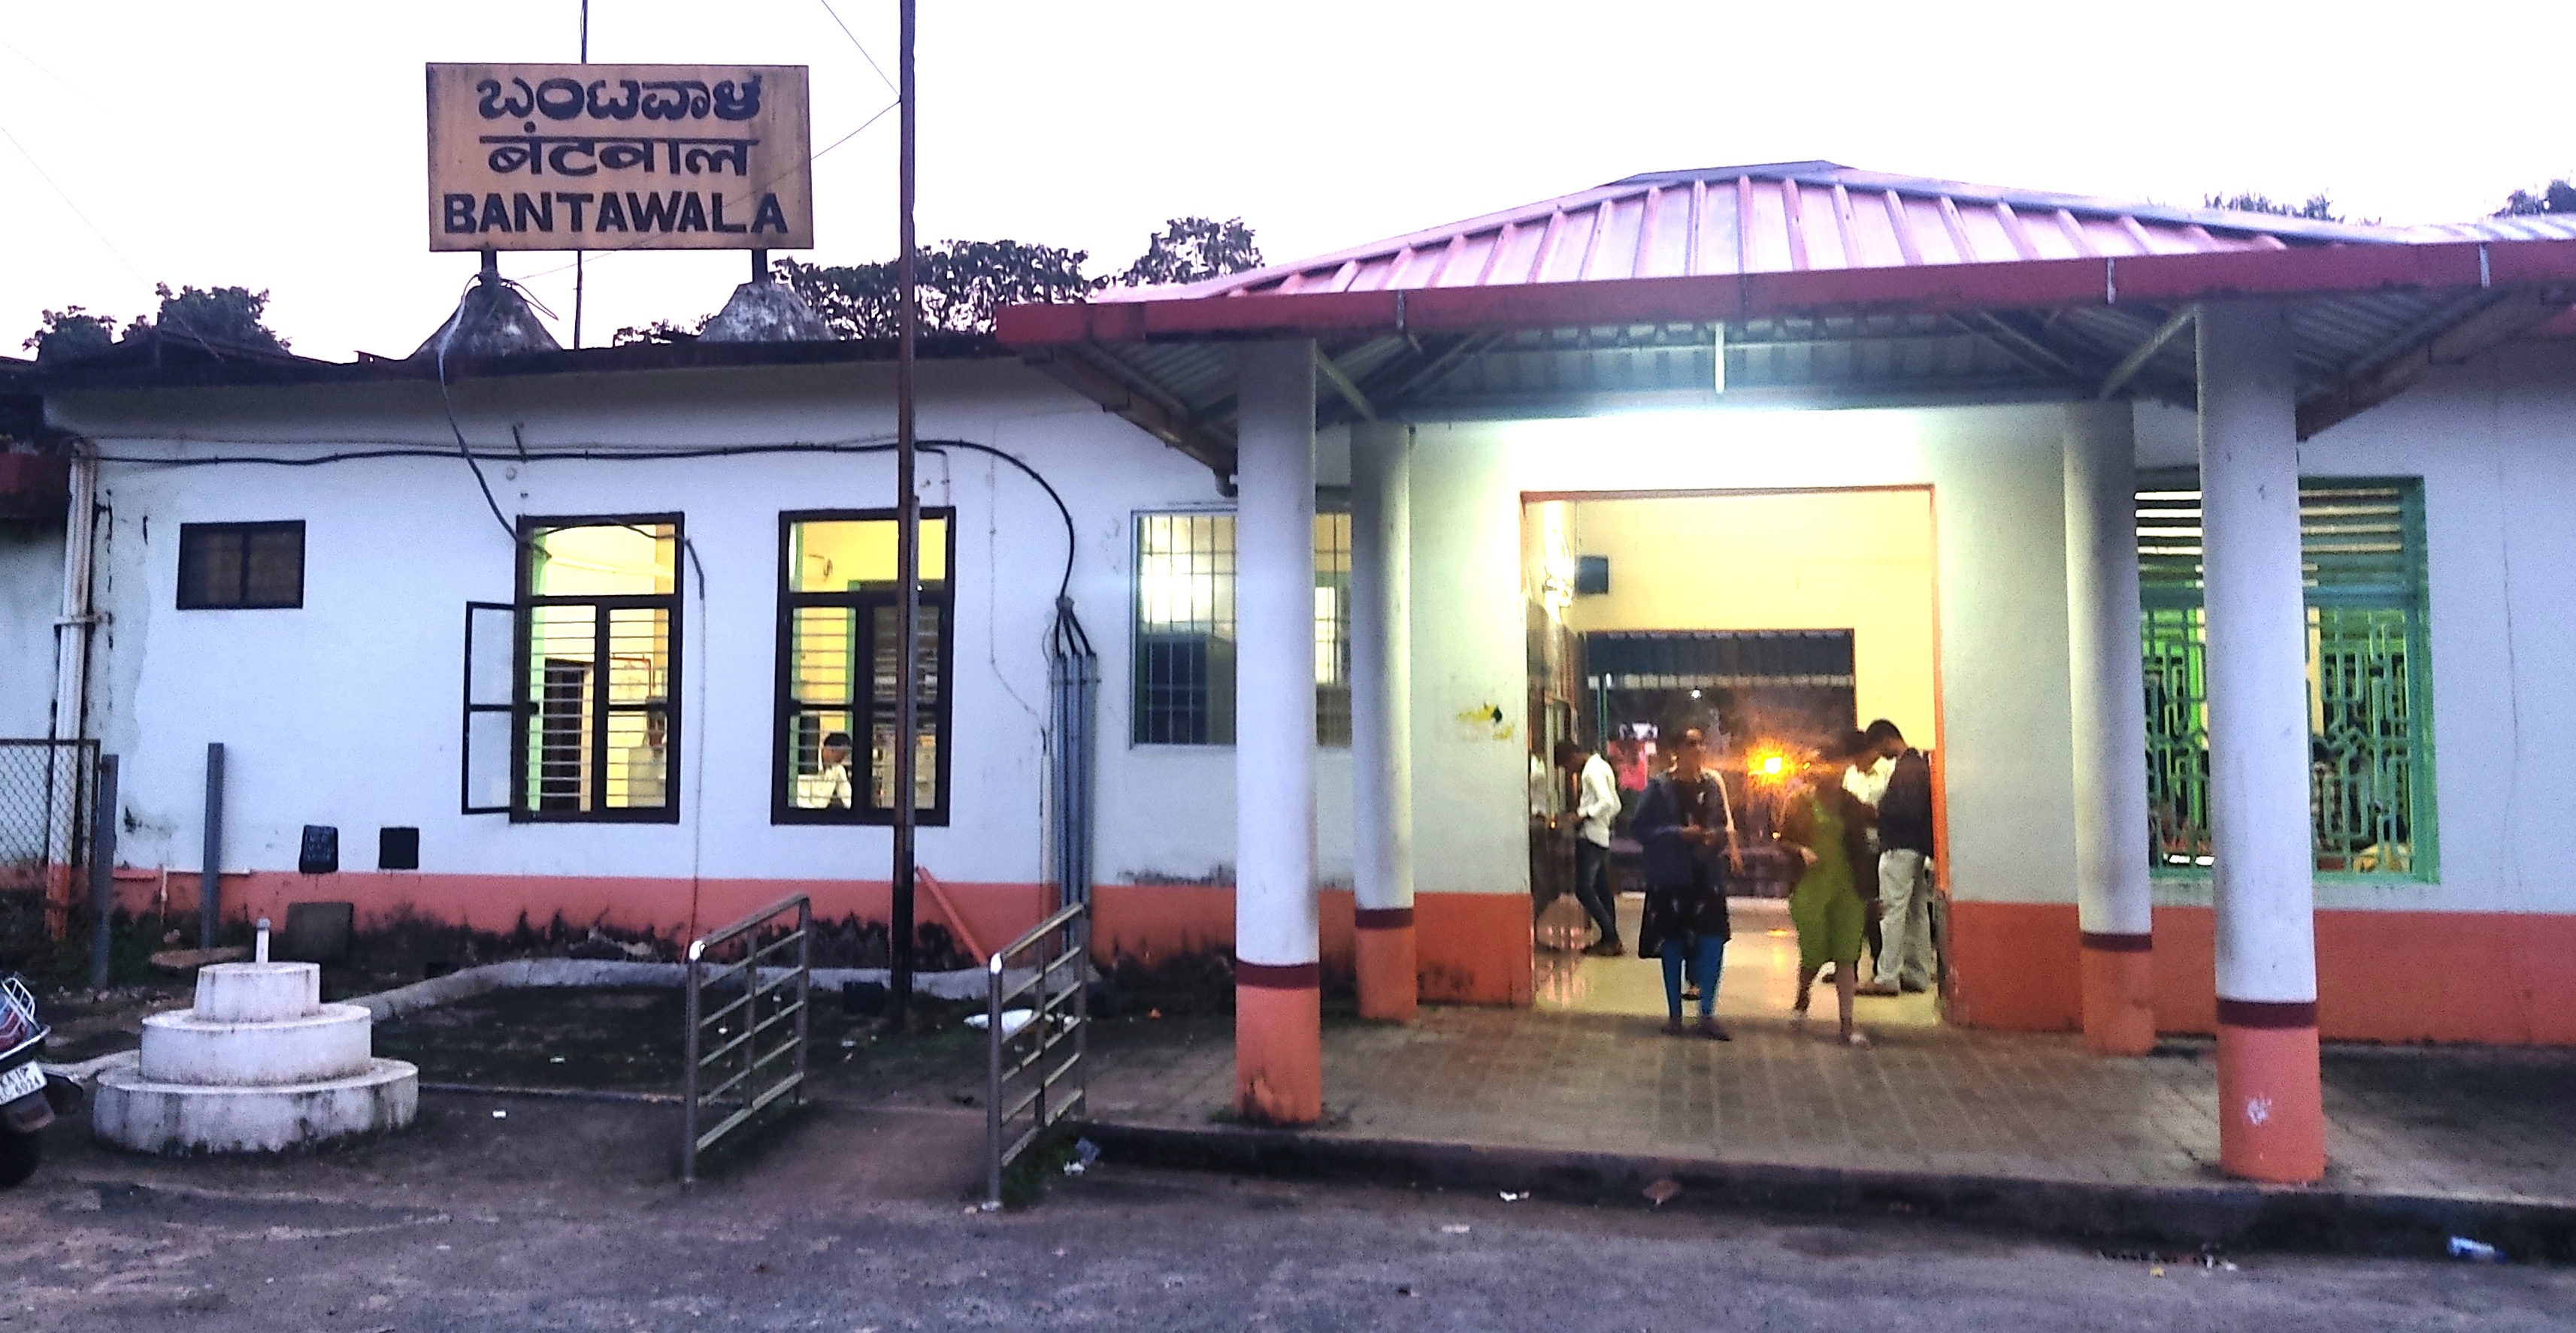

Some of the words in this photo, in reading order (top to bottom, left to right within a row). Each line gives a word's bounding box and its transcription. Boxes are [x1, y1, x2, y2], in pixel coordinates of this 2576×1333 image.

[468, 64, 770, 126] ಬಂಟವಾಳ
[470, 122, 761, 185] बंटवाल
[442, 186, 790, 240] BANTAWALA